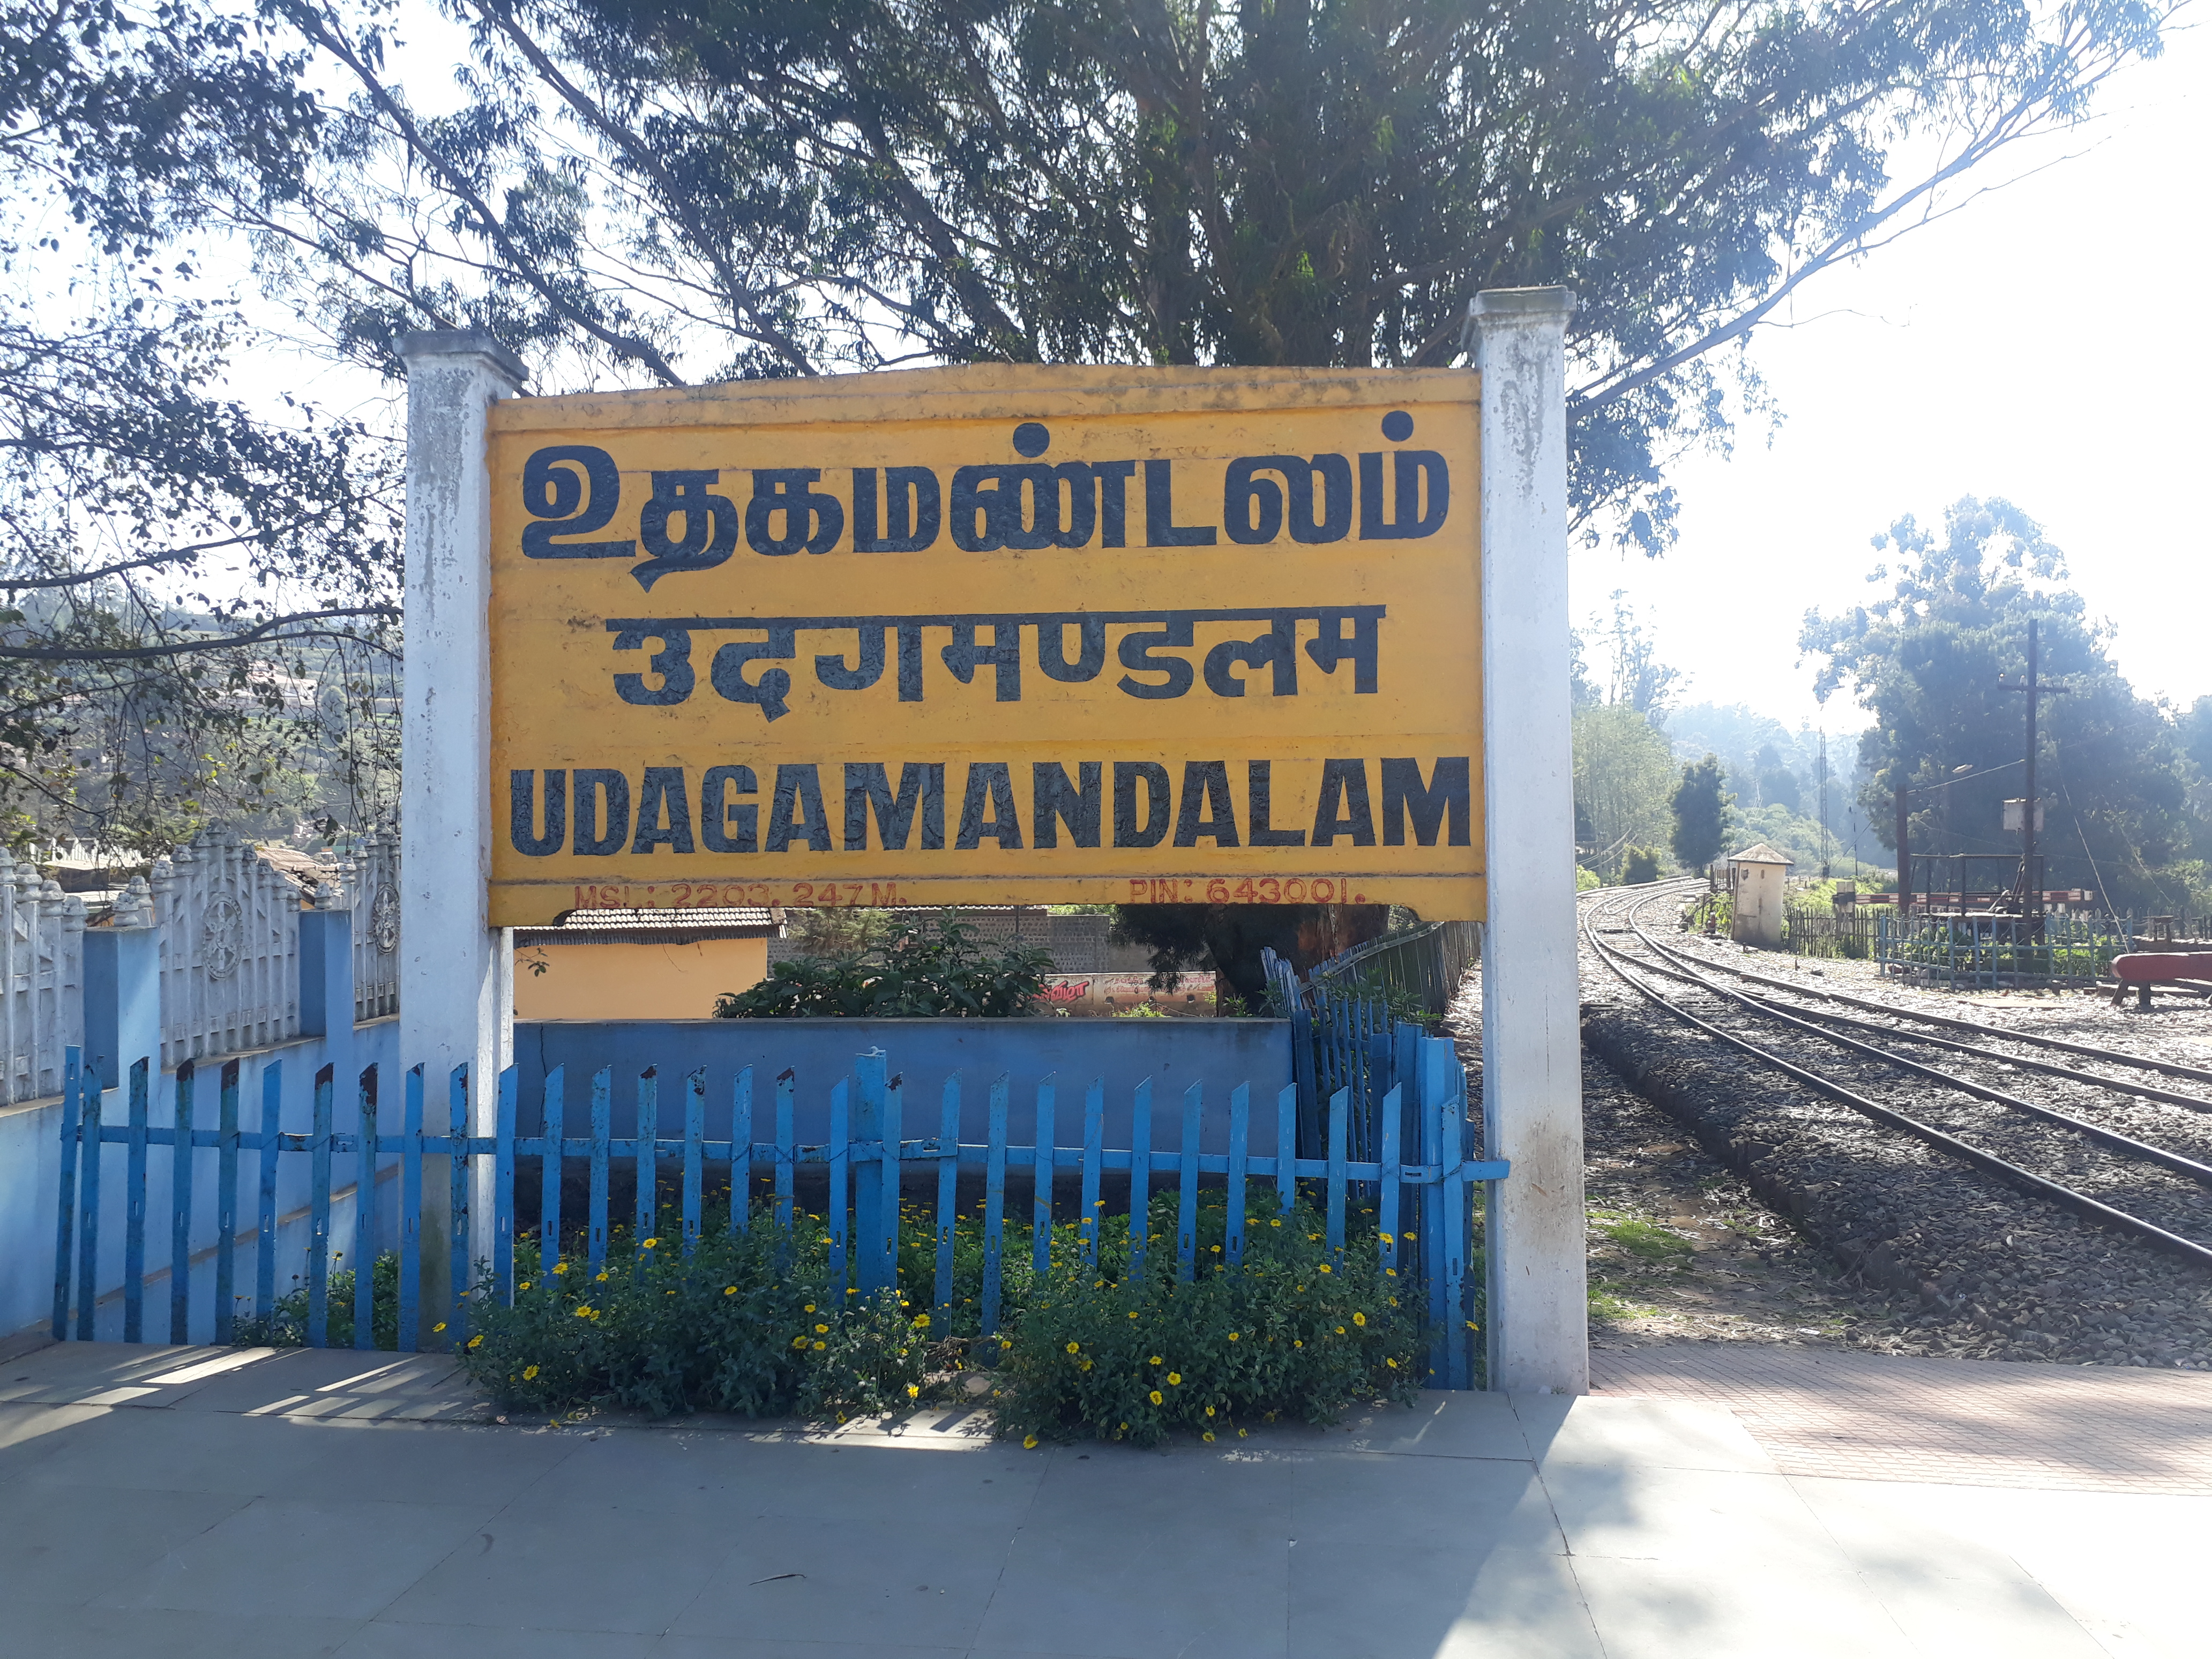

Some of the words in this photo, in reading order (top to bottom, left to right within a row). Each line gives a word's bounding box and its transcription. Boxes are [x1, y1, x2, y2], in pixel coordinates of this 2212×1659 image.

[517, 397, 1455, 597] உதகமண்டலம்
[604, 596, 1392, 728] उदगमण्डलम
[499, 750, 1475, 864] UDAGAMANDALAM
[561, 880, 914, 913] MSL:2203.247M.
[1127, 876, 1354, 911] PIN:643001